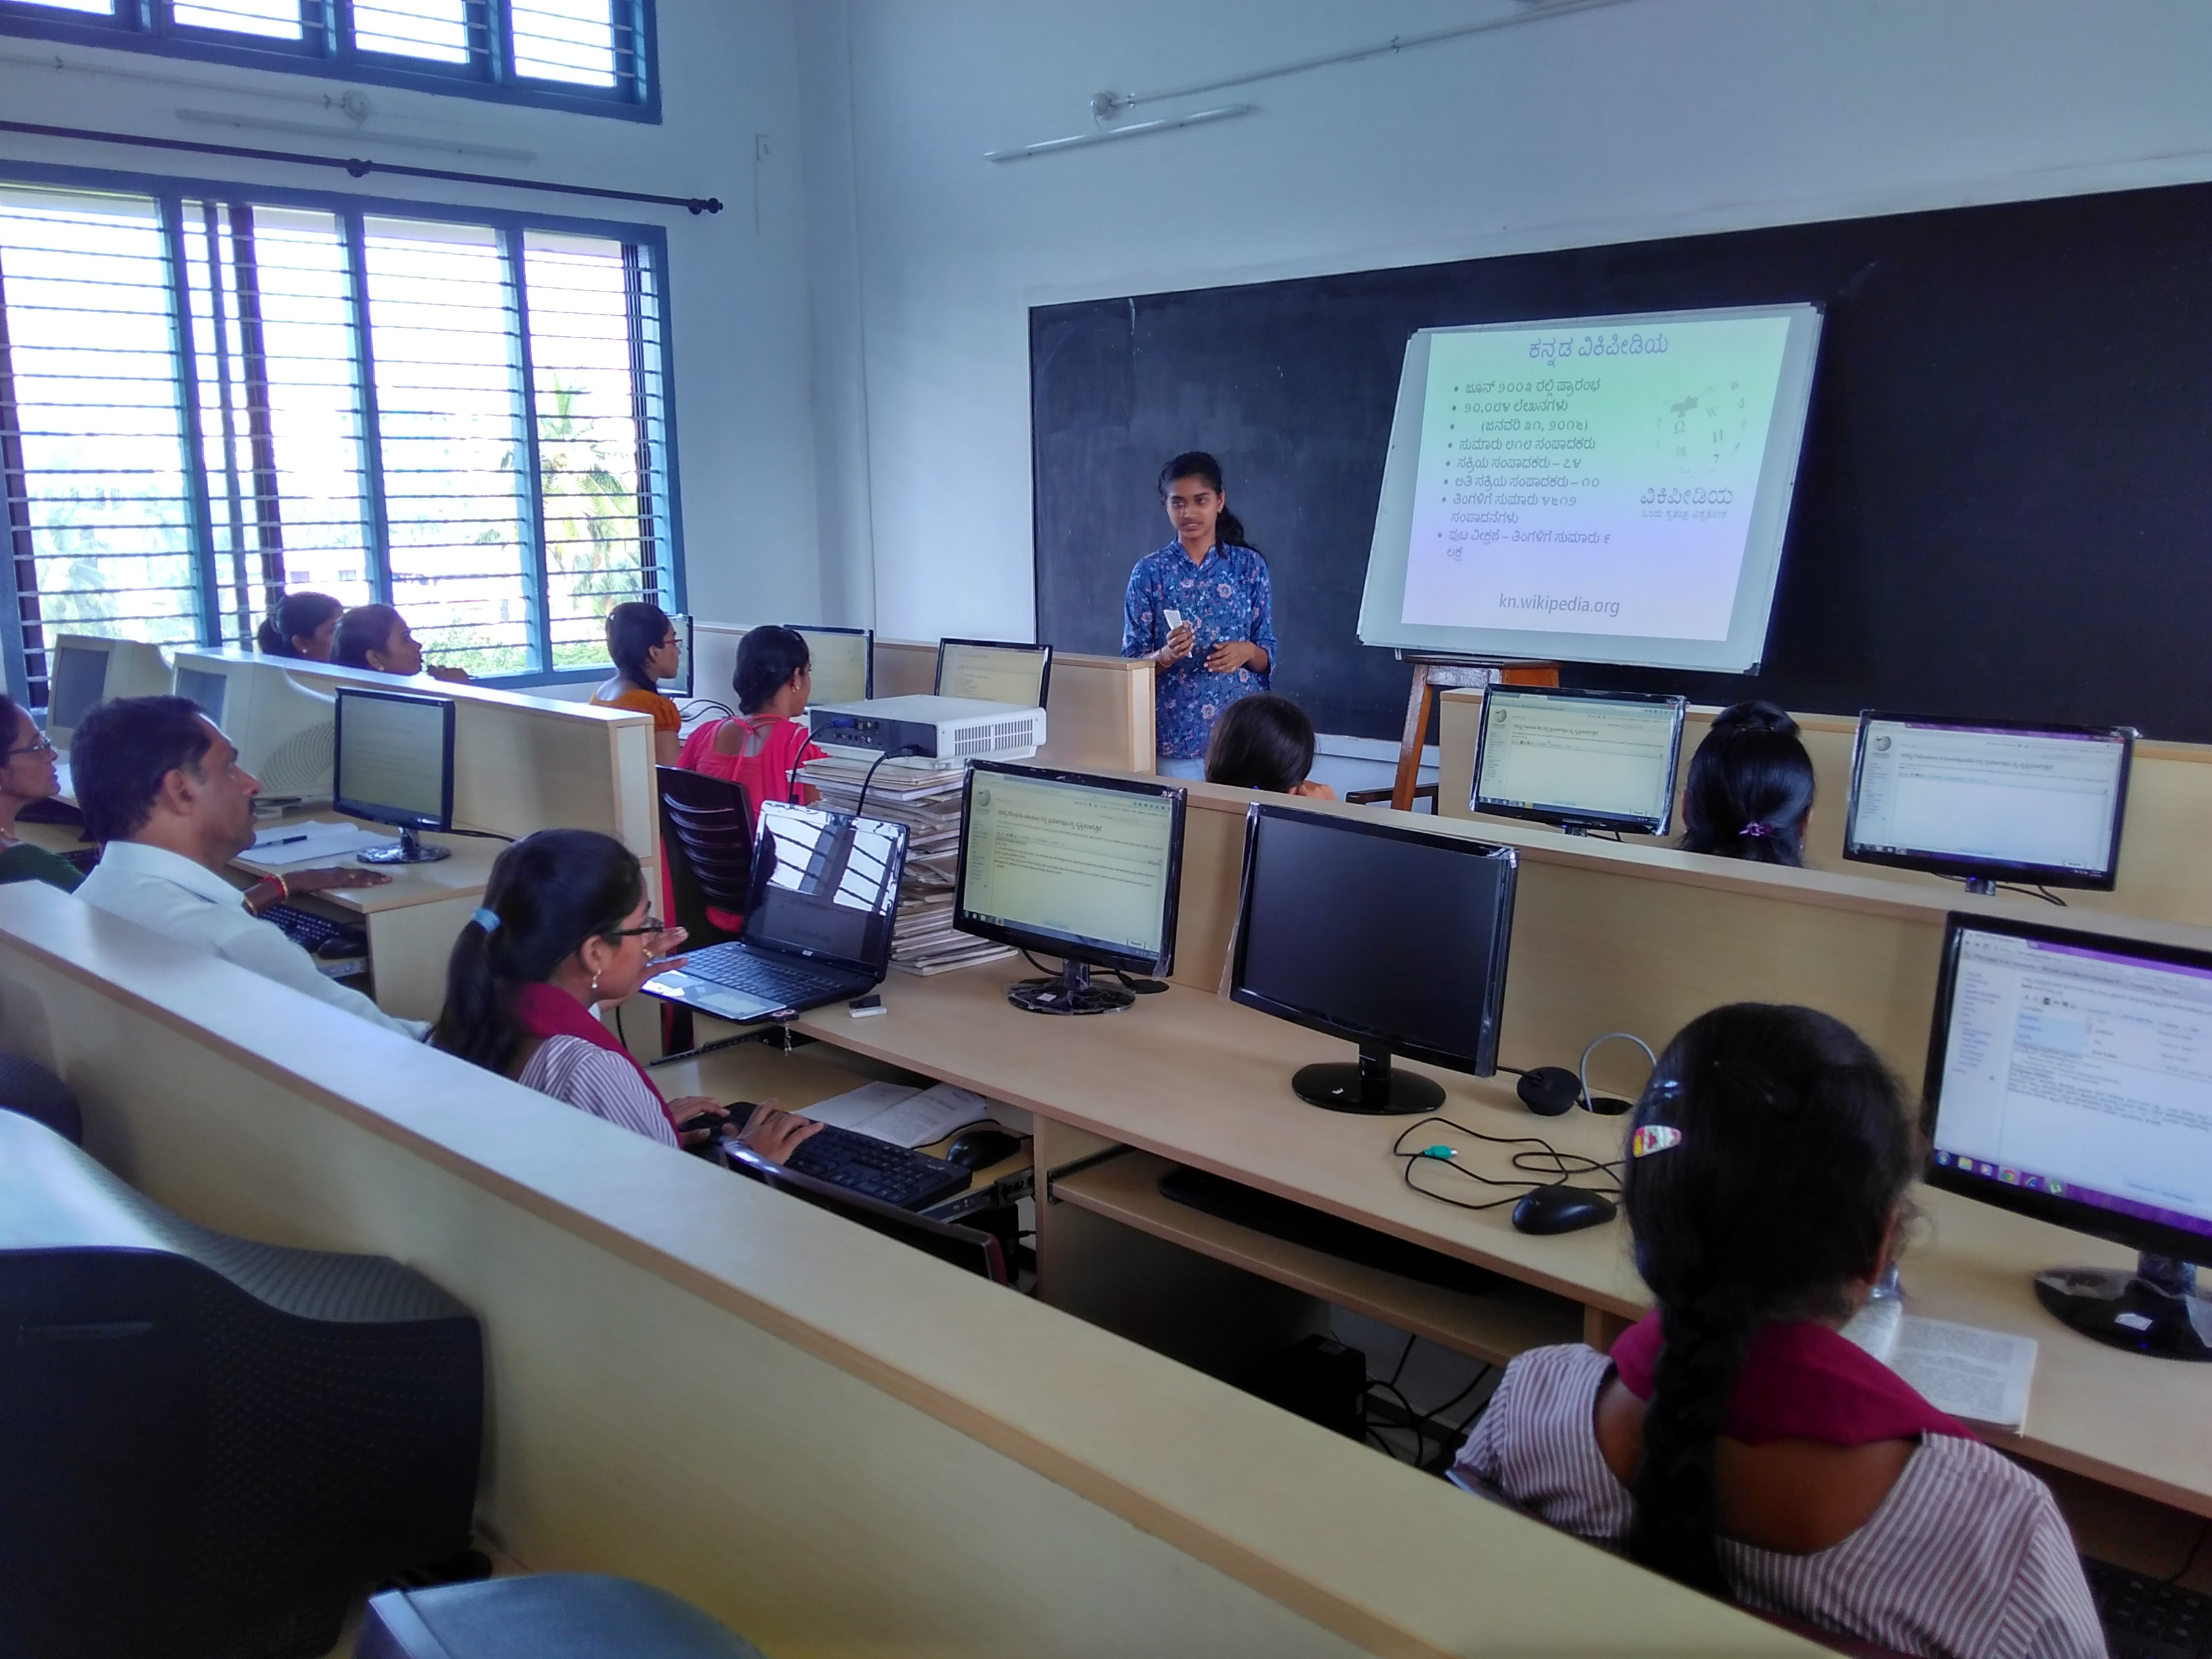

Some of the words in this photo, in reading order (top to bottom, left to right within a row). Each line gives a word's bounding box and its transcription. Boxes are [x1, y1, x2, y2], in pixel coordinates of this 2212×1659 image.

[1574, 327, 1673, 359] ವಿಕಿಪೀಡಿಯ
[1523, 335, 1577, 371] ಕನ್ನಡ
[1460, 374, 1500, 396] ಜೂನ್
[1490, 380, 1537, 398] ೨೦೦೩
[1533, 375, 1603, 397] ರಲ್ಲಿಪ್ರಾರಂಭ
[1460, 398, 1513, 417] ೨೦೦೮೪
[1511, 394, 1572, 415] ಲೇಖನಗಳು
[1481, 414, 1522, 434] ಜನವರಿ
[1519, 418, 1546, 432] 20.
[1547, 416, 1588, 434] ೨೦೧೬
[1454, 435, 1503, 453] ಸುಮಾರು
[1502, 437, 1534, 453] ೮೧೮
[1532, 434, 1599, 453] ಸಂಪಾದಕರು
[1454, 453, 1490, 474] ಸಕ್ರಿಯ
[1486, 453, 1554, 472] ಸಂಪಾದಕರು
[1559, 455, 1585, 474] ೭೪
[1452, 471, 1512, 492] ಅತಿಸಕ್ರಿಯ
[1507, 469, 1572, 489] ಸಂಪಾದಕರು
[1578, 475, 1602, 492] ೧೦
[1450, 488, 1495, 507] ತಿಂಗಳಿಗೆ
[1492, 489, 1542, 508] ಸುಮಾರು
[1538, 493, 1580, 509] ೪೬೧೨
[1635, 480, 1738, 508] ವಿಕಿಪೀಡಿಯ
[1448, 510, 1521, 527] ಸಂಪಾದನೆಗಳು
[1661, 506, 1695, 525] ಸ್ವತಂತ್ರ
[1445, 524, 1503, 546] ಪುಟವೀಕ್ಷಣೆ
[1509, 528, 1555, 544] ತಿಂಗಳಿಗೆ
[1553, 528, 1603, 547] ಸುಮಾರು
[1445, 545, 1467, 565] ಲಕ್ಷ
[1496, 592, 1622, 620] kn.wikipedia.org
[1073, 815, 1105, 836] Hange